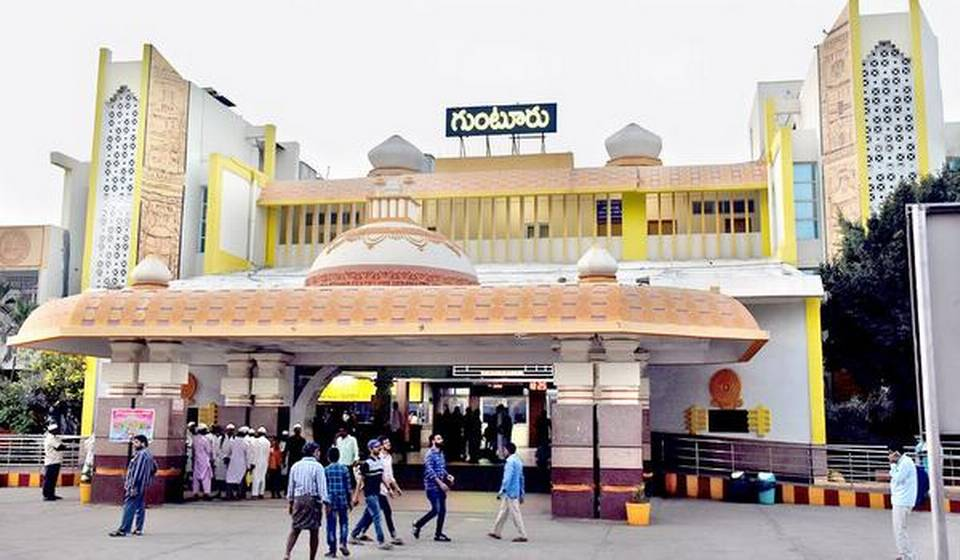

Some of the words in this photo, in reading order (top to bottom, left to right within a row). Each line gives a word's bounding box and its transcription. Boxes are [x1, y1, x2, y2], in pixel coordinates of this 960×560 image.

[445, 101, 554, 137] గుంటూరు